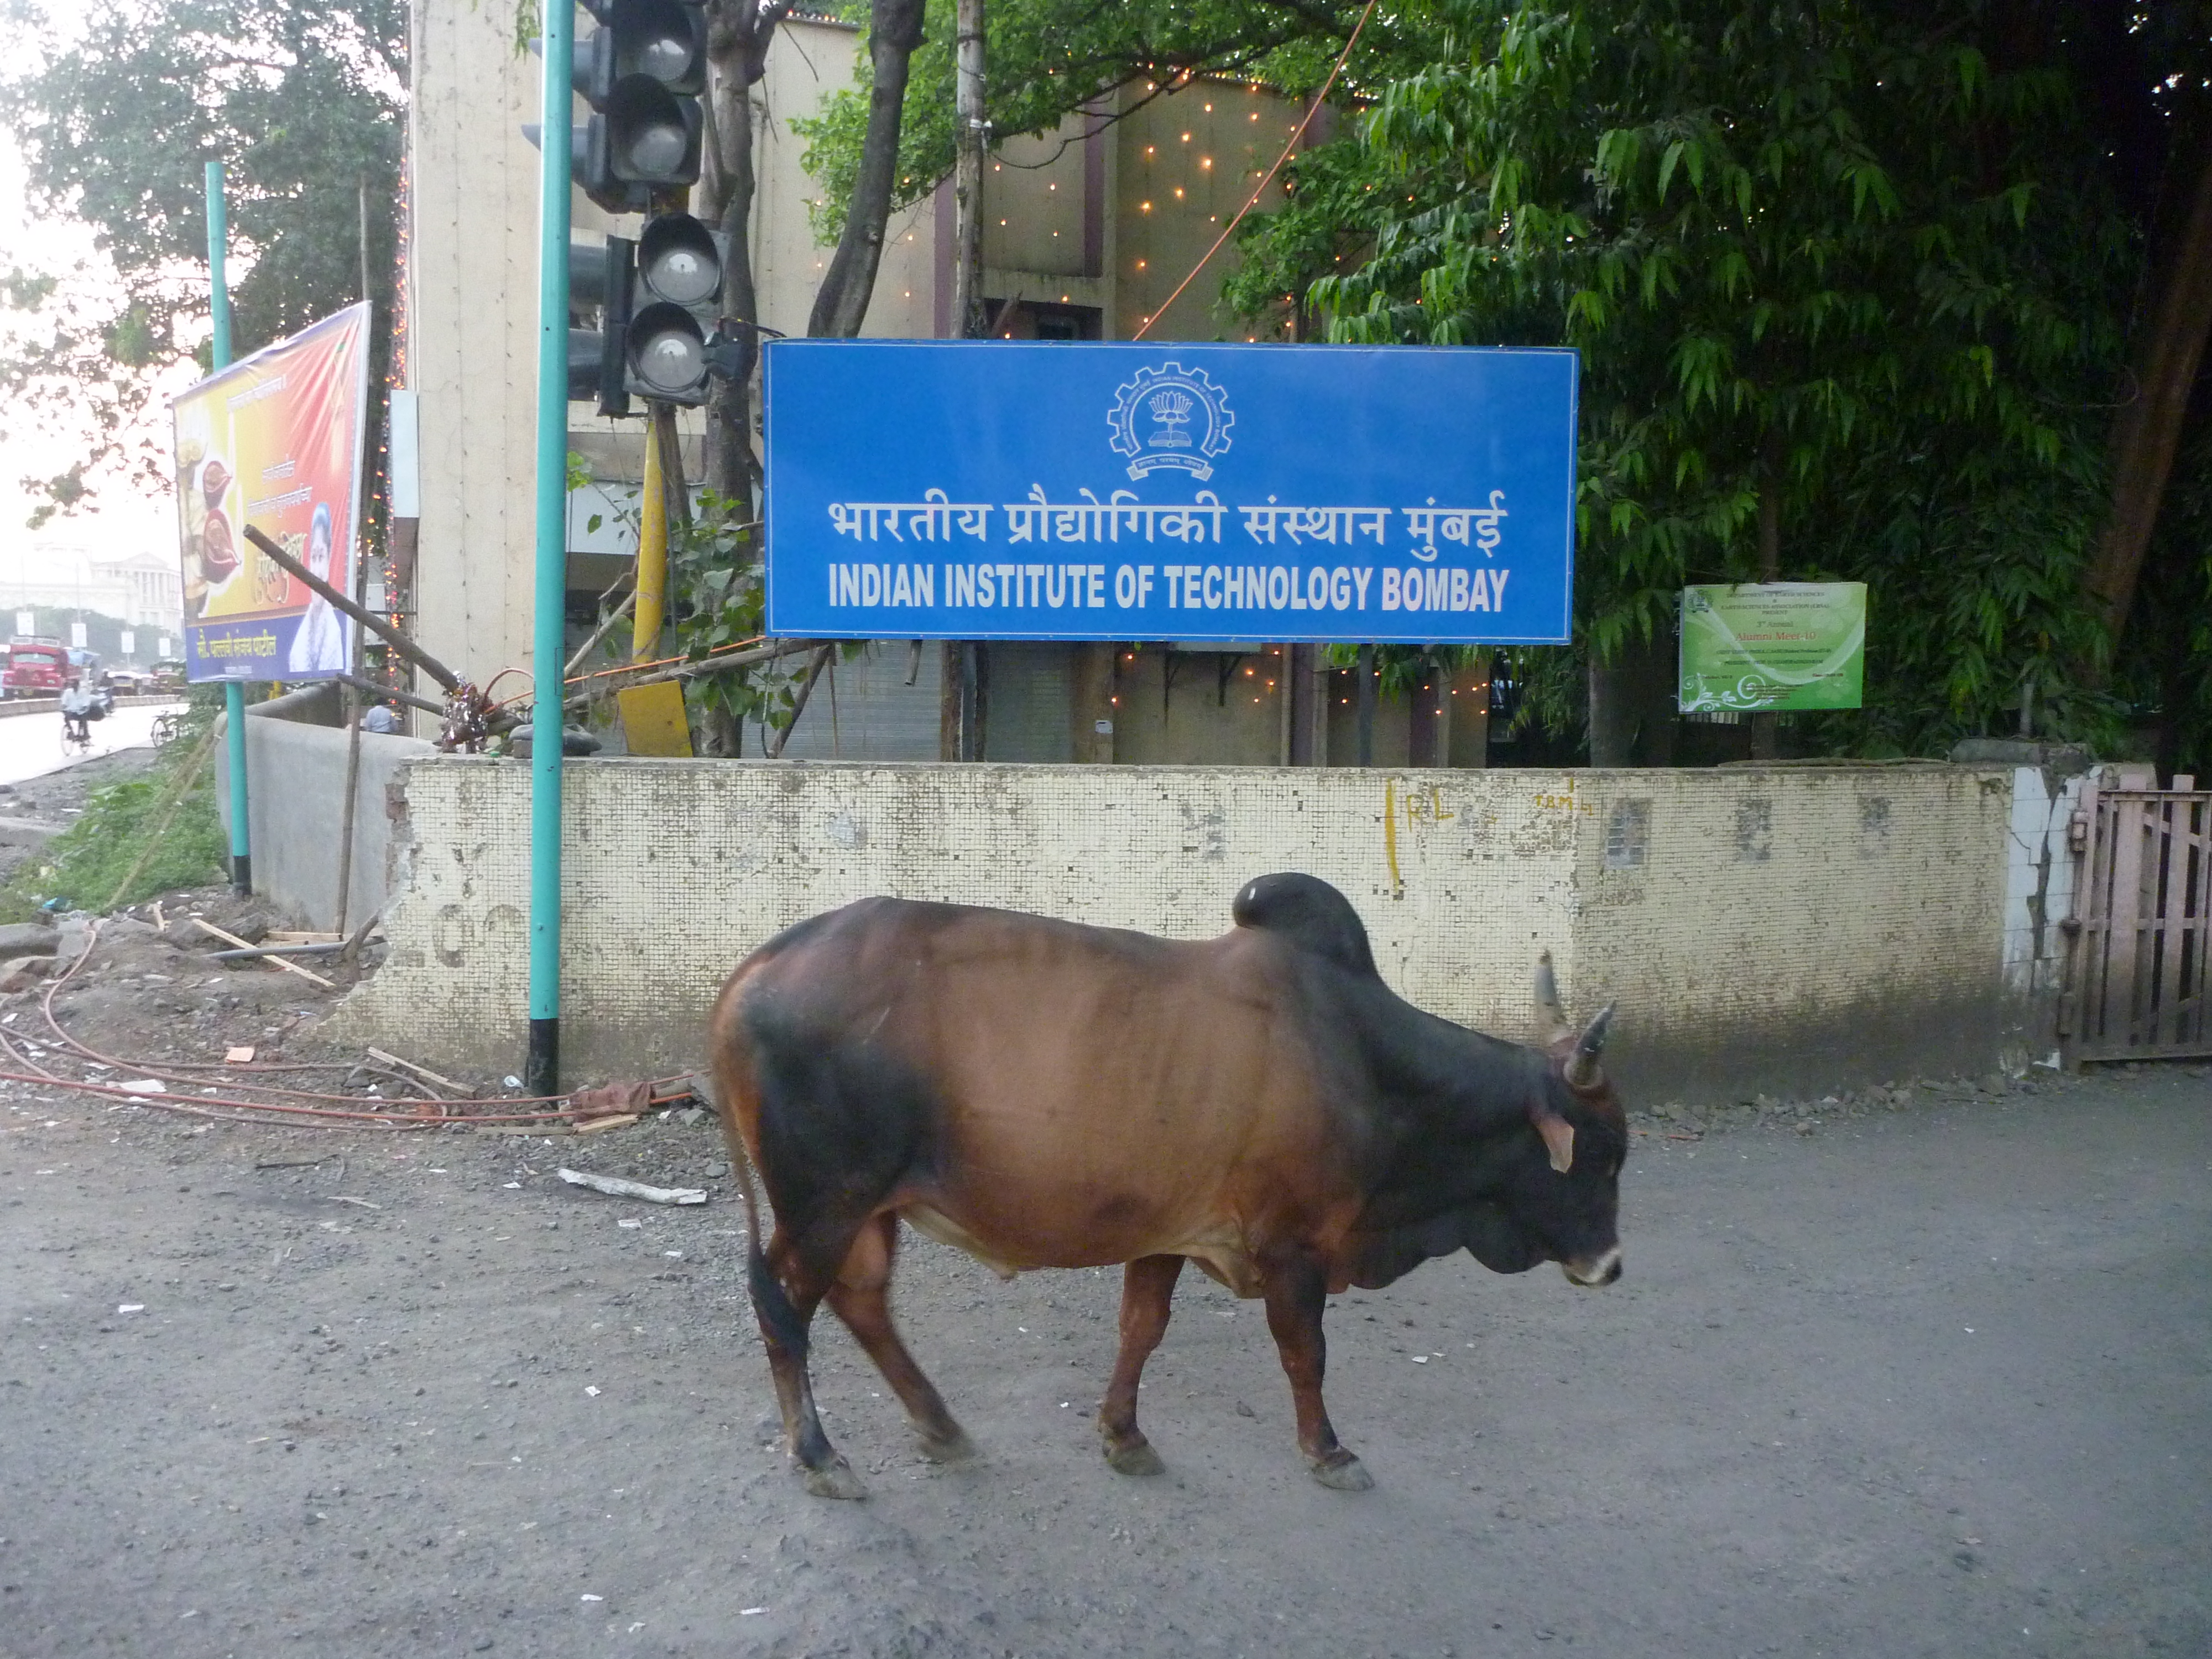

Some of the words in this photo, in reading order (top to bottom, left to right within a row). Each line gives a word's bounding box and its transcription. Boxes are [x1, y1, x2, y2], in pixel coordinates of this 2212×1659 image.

[821, 480, 1002, 550] भारतीय
[995, 474, 1230, 551] प्रौद्योगिकी
[1229, 488, 1398, 551] संस्थान
[1394, 483, 1512, 566] मुंबई
[821, 557, 939, 615] ॥११०१३३
[937, 559, 1109, 614] INSTITUTE
[1112, 560, 1157, 612] OF
[1160, 562, 1376, 614] TECHNOLOGY
[1378, 562, 1514, 616] BOMBAY
[1735, 630, 1775, 643] Alumni
[1773, 628, 1820, 642] Meet-10